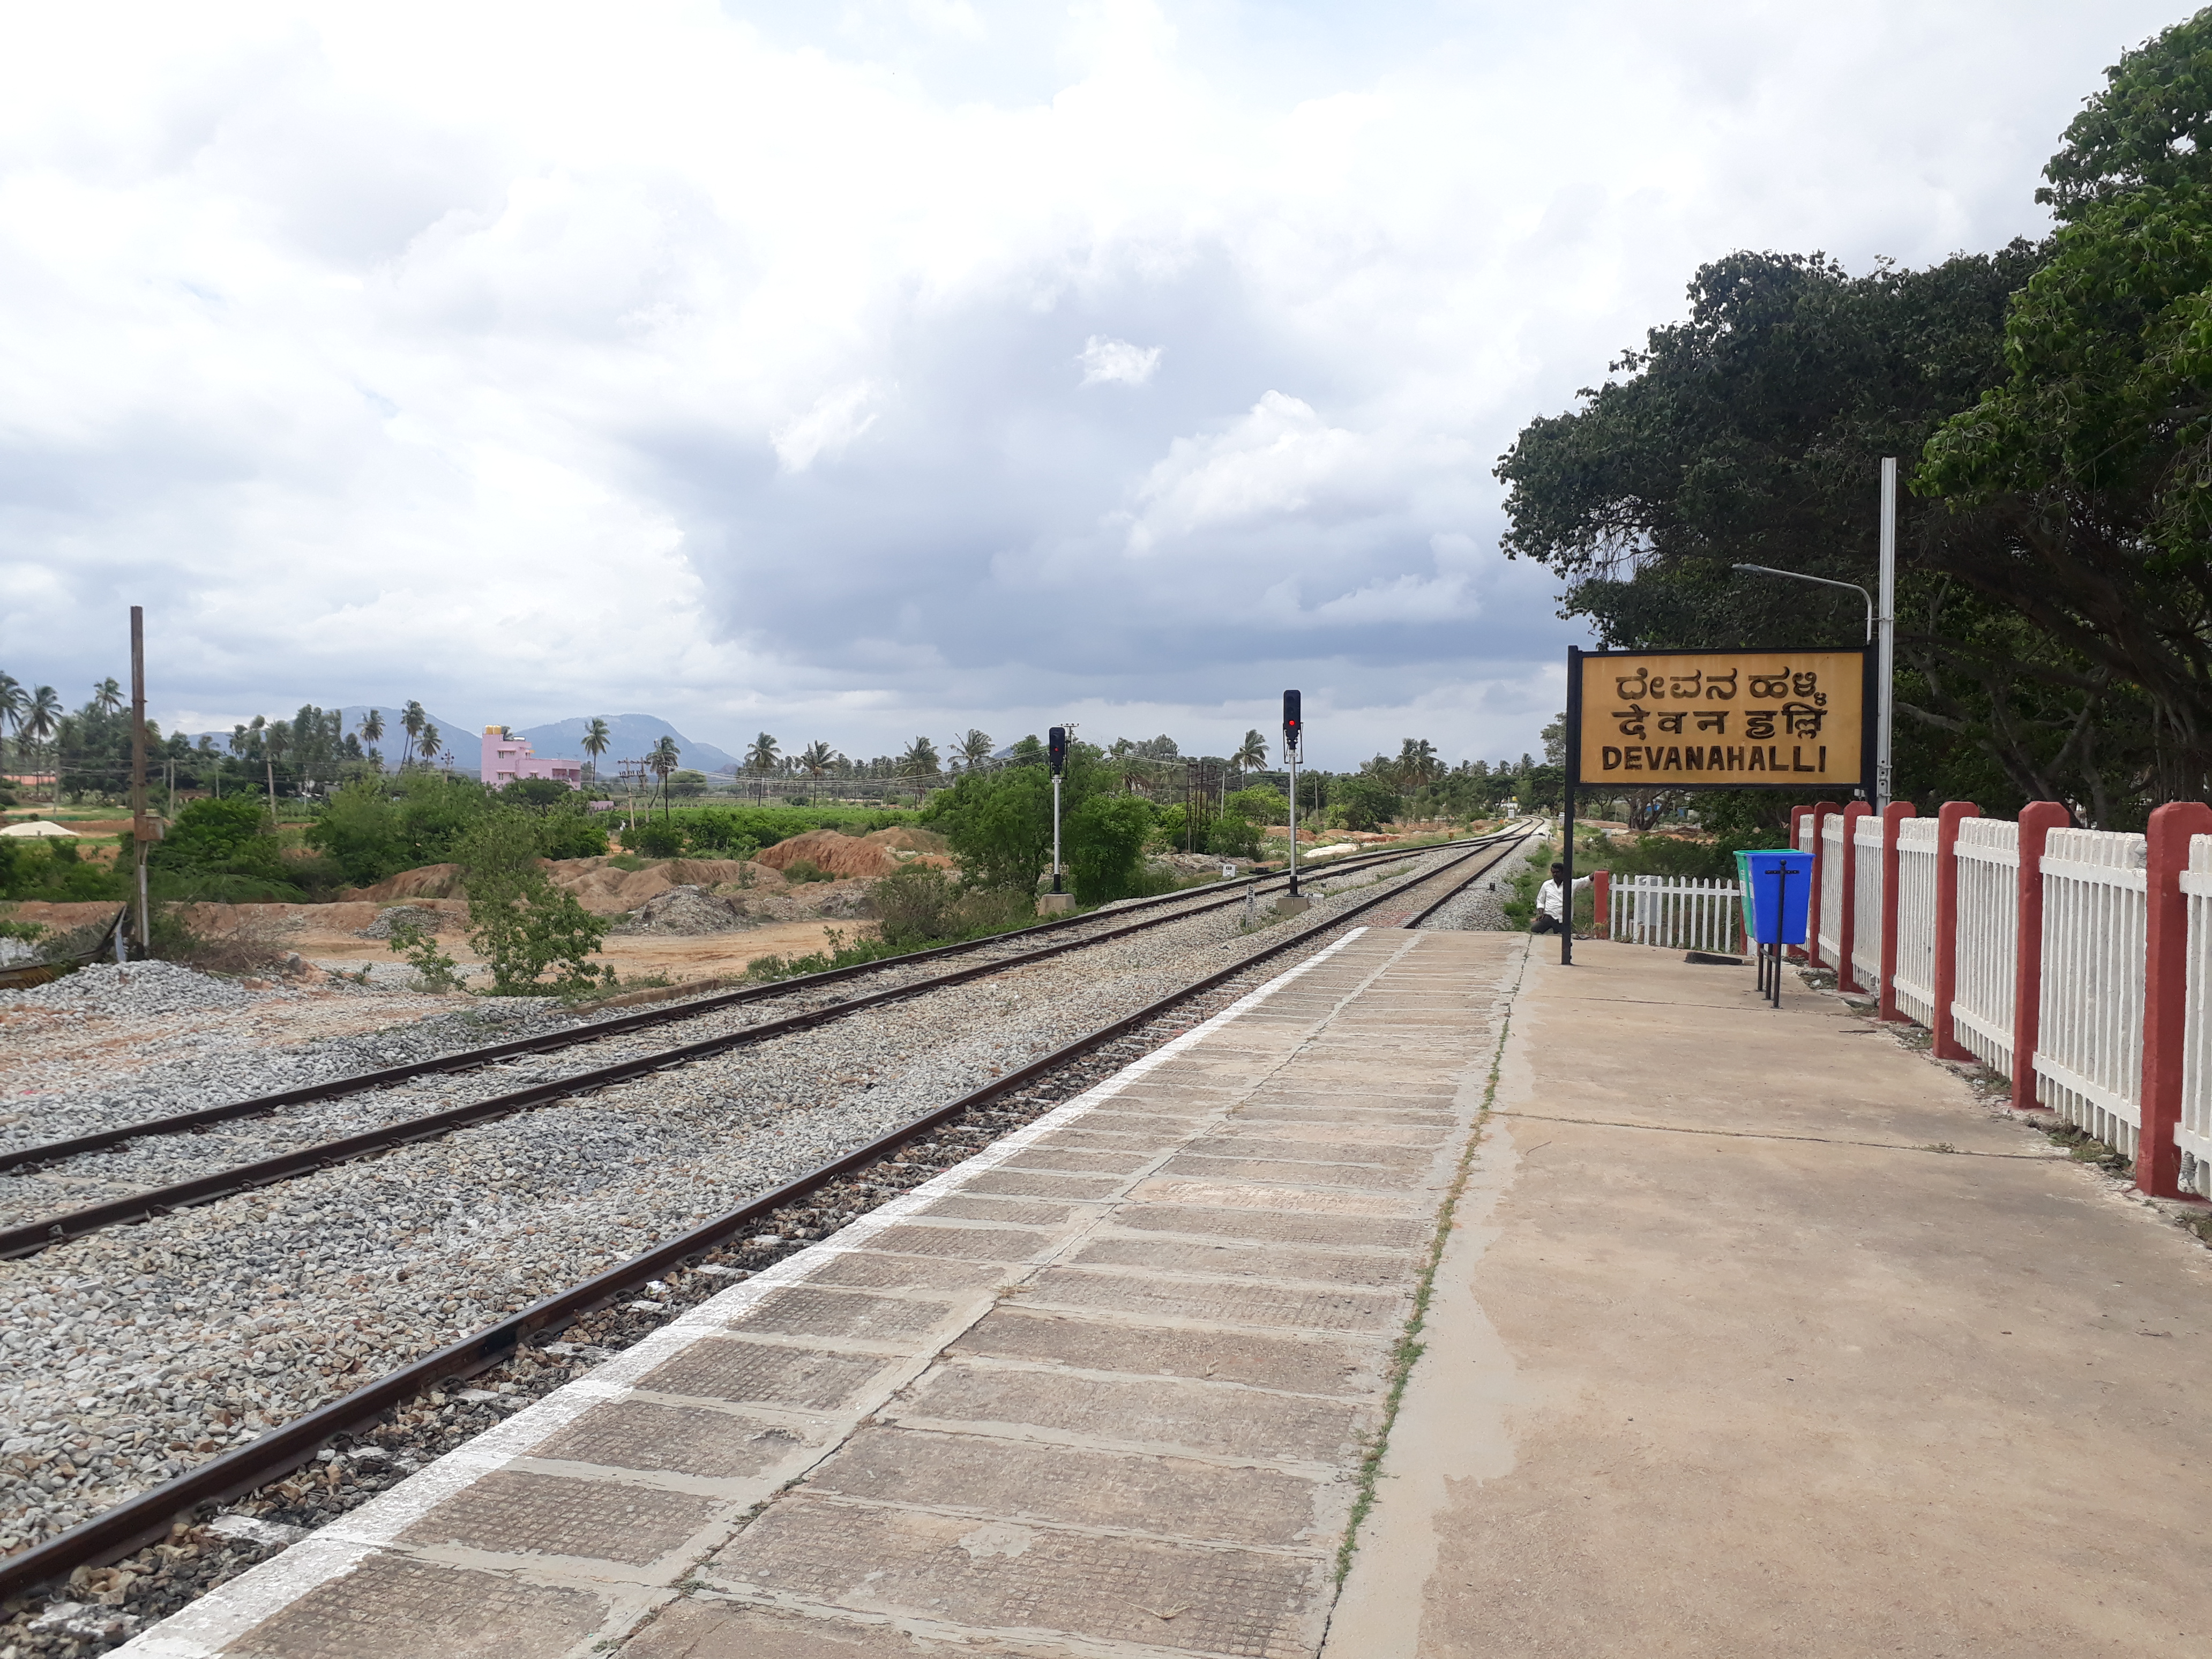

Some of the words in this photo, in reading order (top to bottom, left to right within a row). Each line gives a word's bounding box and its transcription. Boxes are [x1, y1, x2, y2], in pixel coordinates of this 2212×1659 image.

[1613, 662, 1739, 703] ದೇವನ
[1746, 661, 1828, 708] ಹಳ್ಳ
[1608, 700, 1730, 743] देवन
[1744, 696, 1828, 743] हल्लि
[1600, 740, 1829, 774] DEVANAHALLI